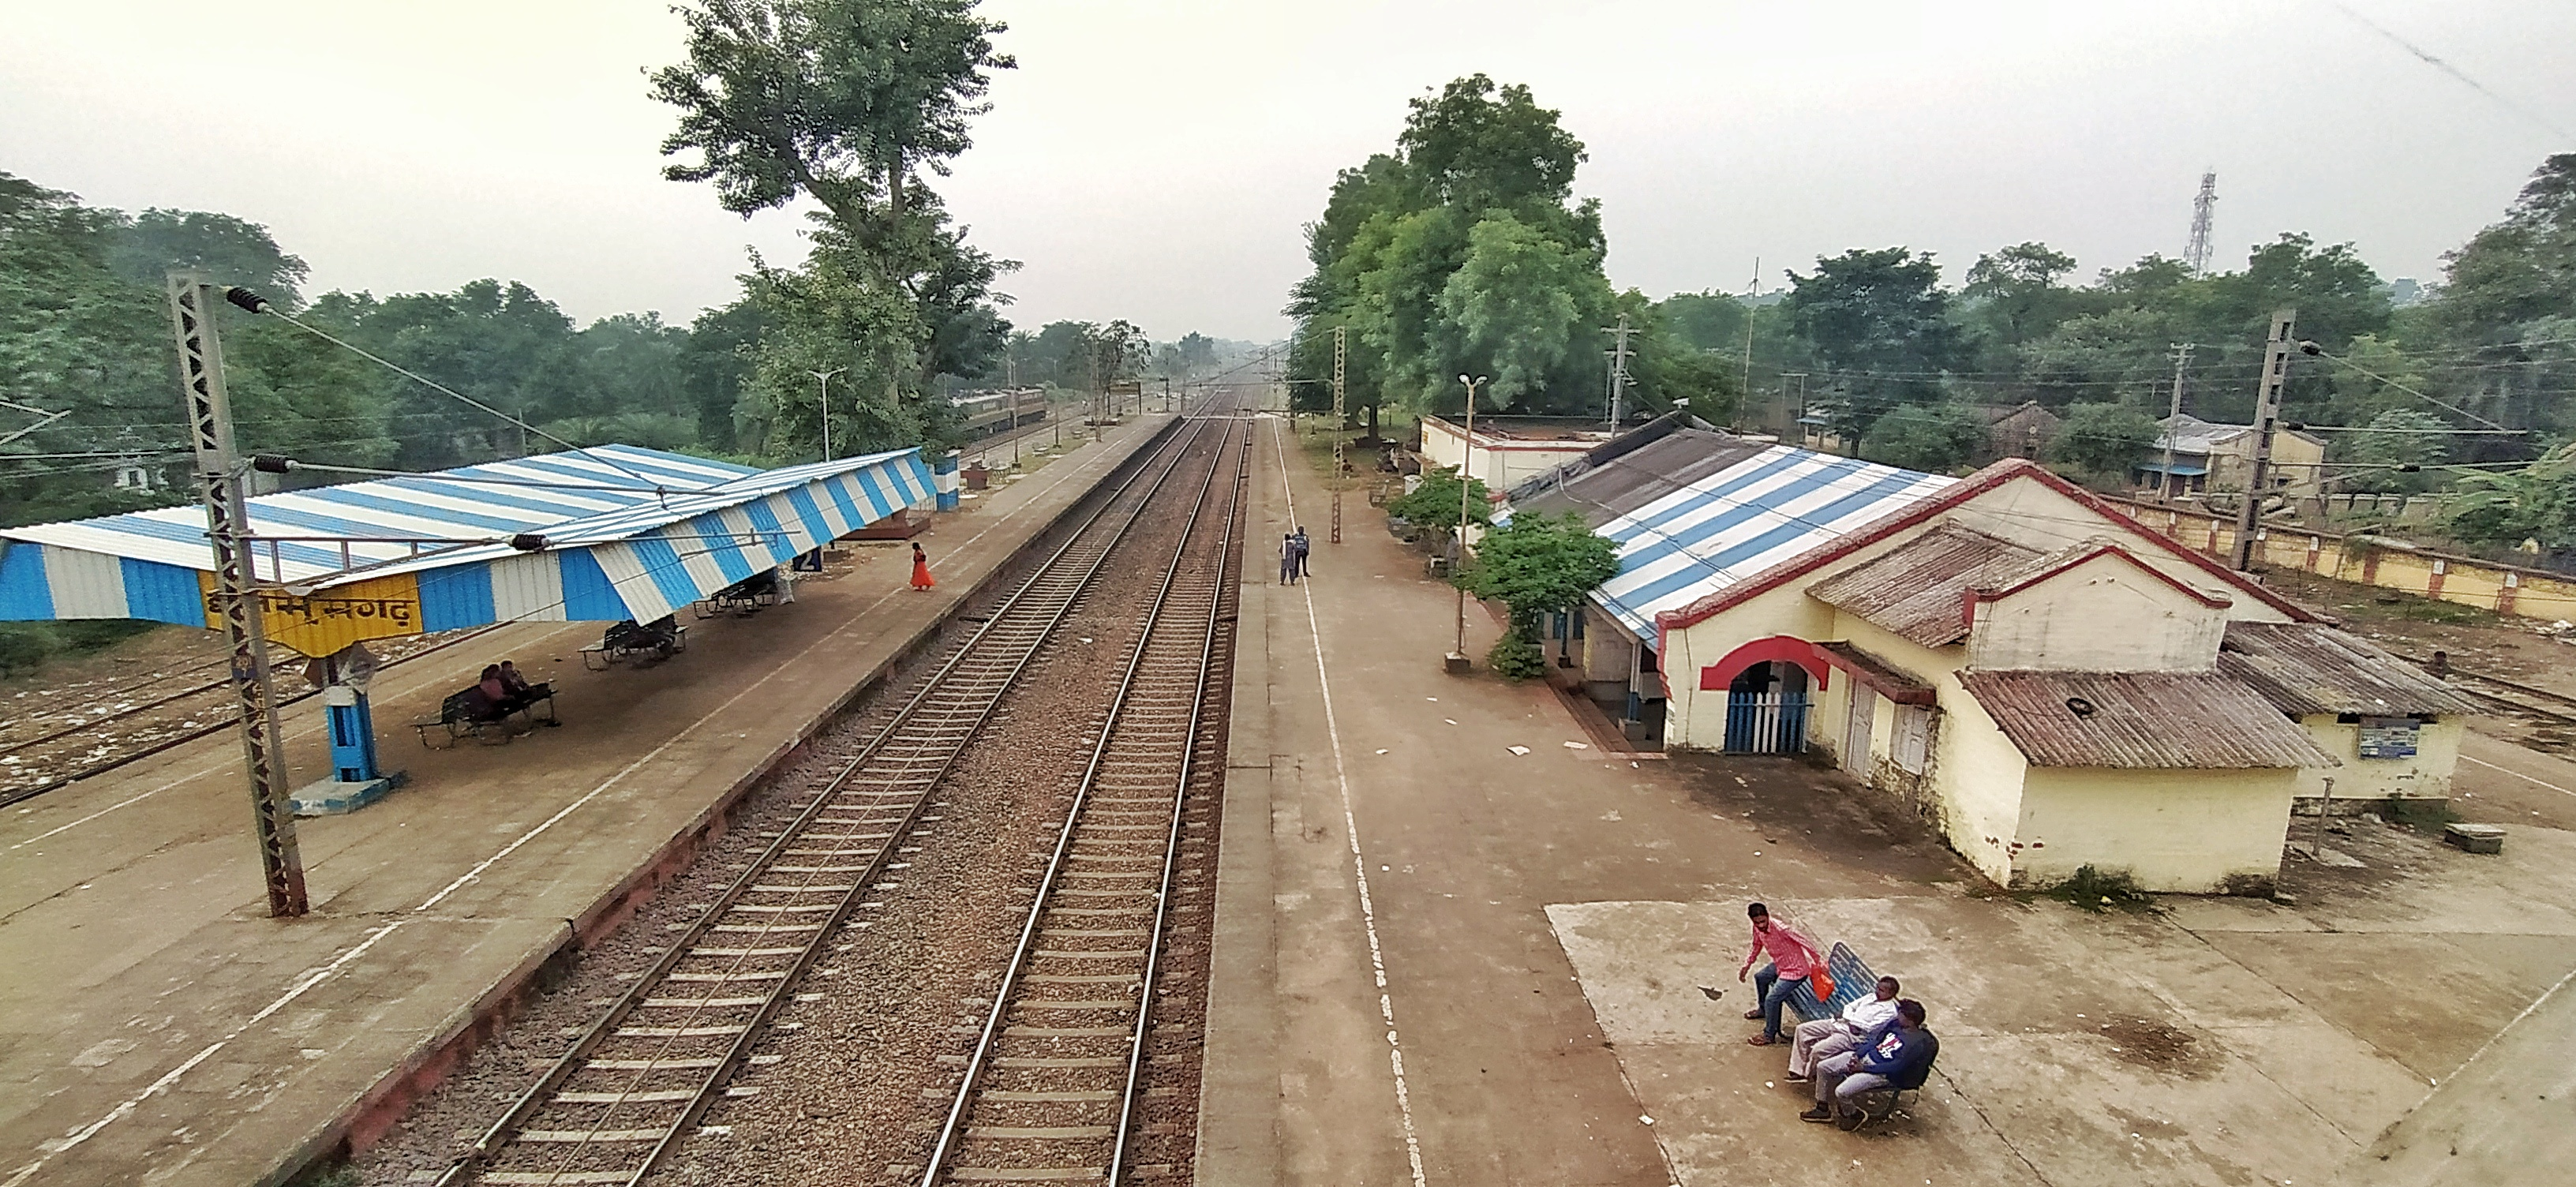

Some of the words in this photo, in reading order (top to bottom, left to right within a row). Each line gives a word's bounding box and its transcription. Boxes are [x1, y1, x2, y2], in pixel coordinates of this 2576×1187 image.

[203, 588, 416, 628] मूमगढ़